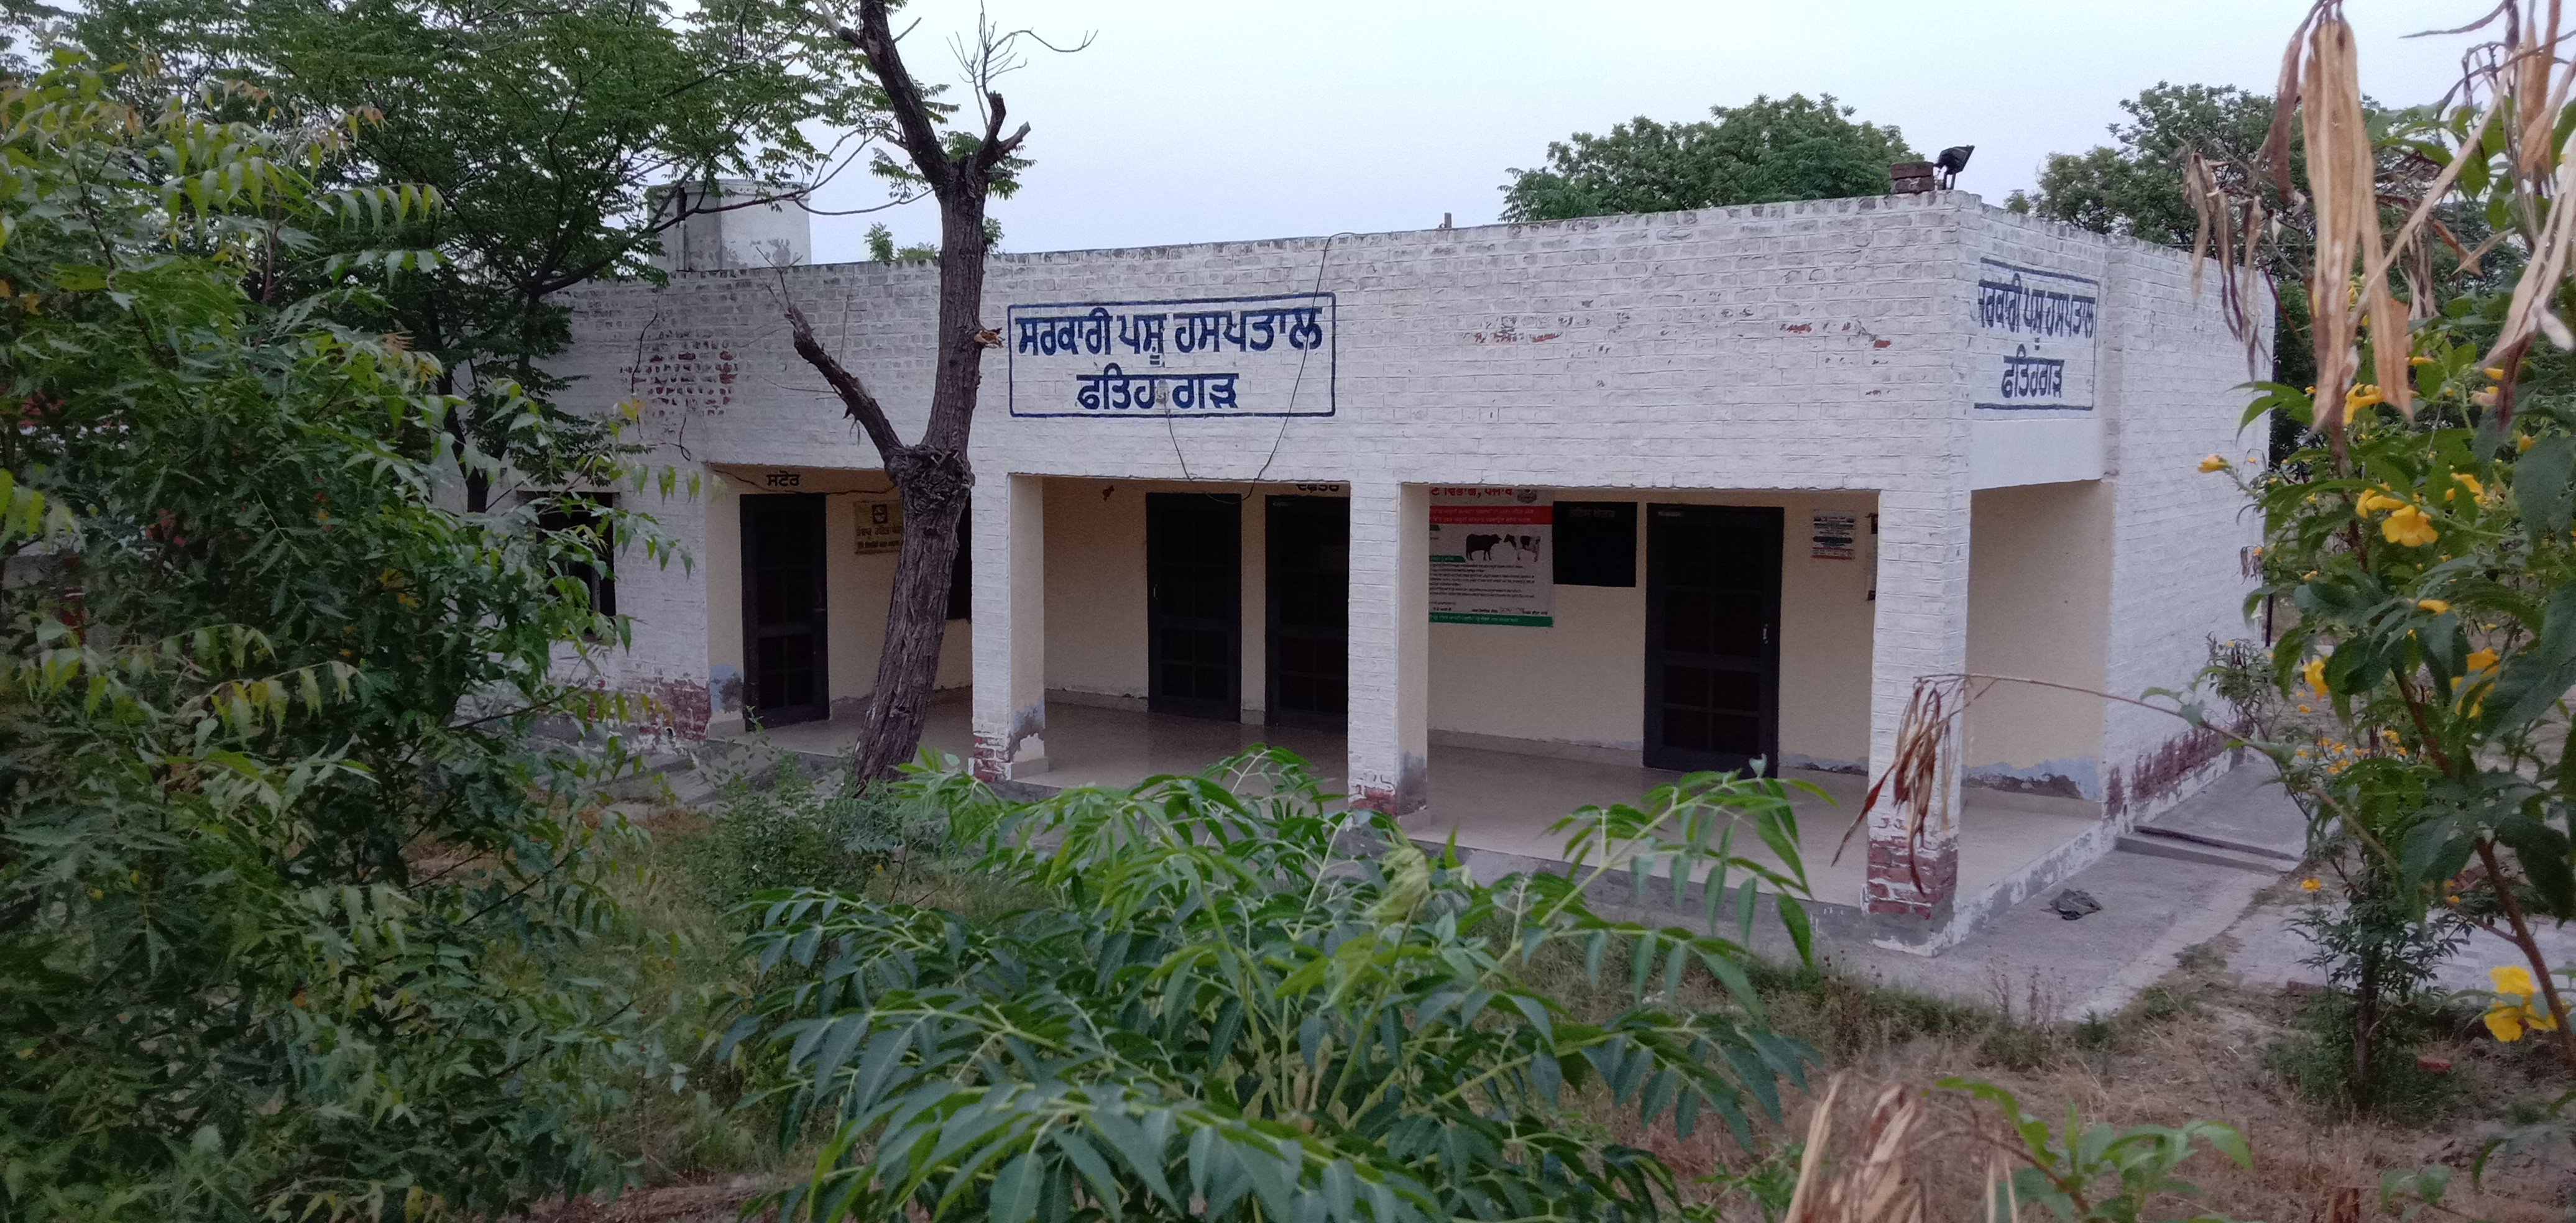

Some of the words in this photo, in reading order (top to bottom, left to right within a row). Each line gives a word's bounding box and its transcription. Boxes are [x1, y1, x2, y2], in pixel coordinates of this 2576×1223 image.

[1007, 303, 1114, 362] ਸਰਕਾਰੀ
[1113, 307, 1174, 369] ਪਸ਼ੂ
[1170, 300, 1328, 363] ਹਸਪਤਾਲ
[1977, 267, 2025, 335] ਸਰਕਾਰੀ
[2023, 278, 2048, 351] ਪਸ਼ੂ
[2043, 287, 2097, 345] ਹਸਪਤਾਲ
[1064, 360, 1248, 414] ਫਤਿਹਾਗੜ
[1994, 341, 2072, 403] ਫਤਿਹਗੜ
[758, 468, 806, 492] ਸਟੋਰ